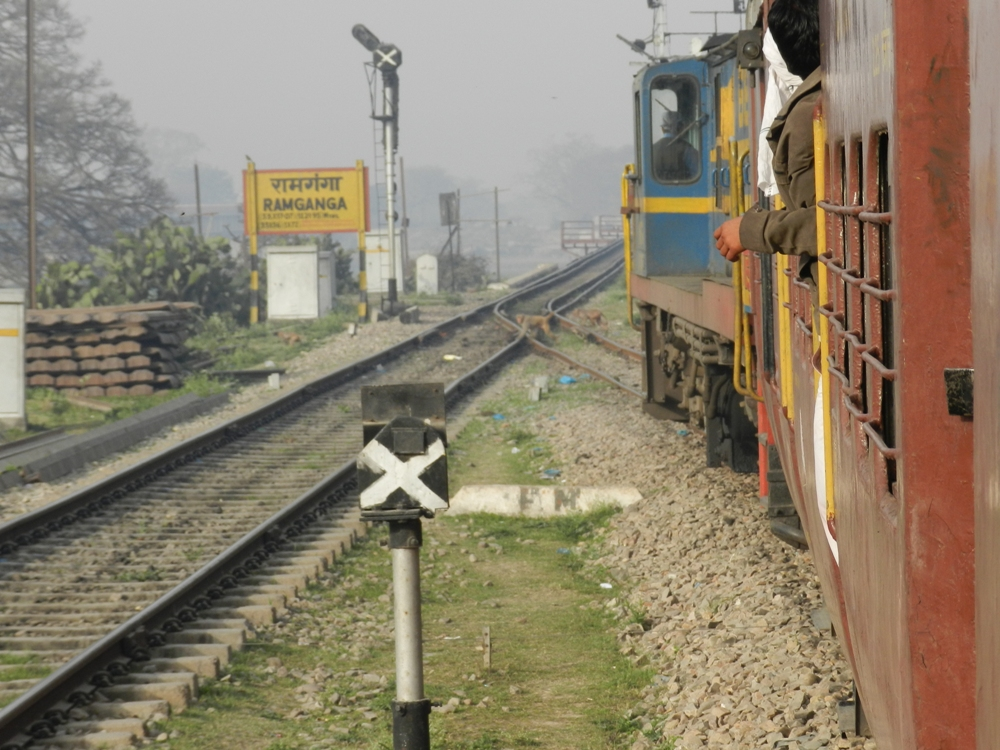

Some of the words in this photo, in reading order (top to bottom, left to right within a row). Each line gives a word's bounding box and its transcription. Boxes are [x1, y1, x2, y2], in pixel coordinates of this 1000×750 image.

[268, 171, 345, 194] रामगंगा
[260, 194, 349, 211] RAMGANGA